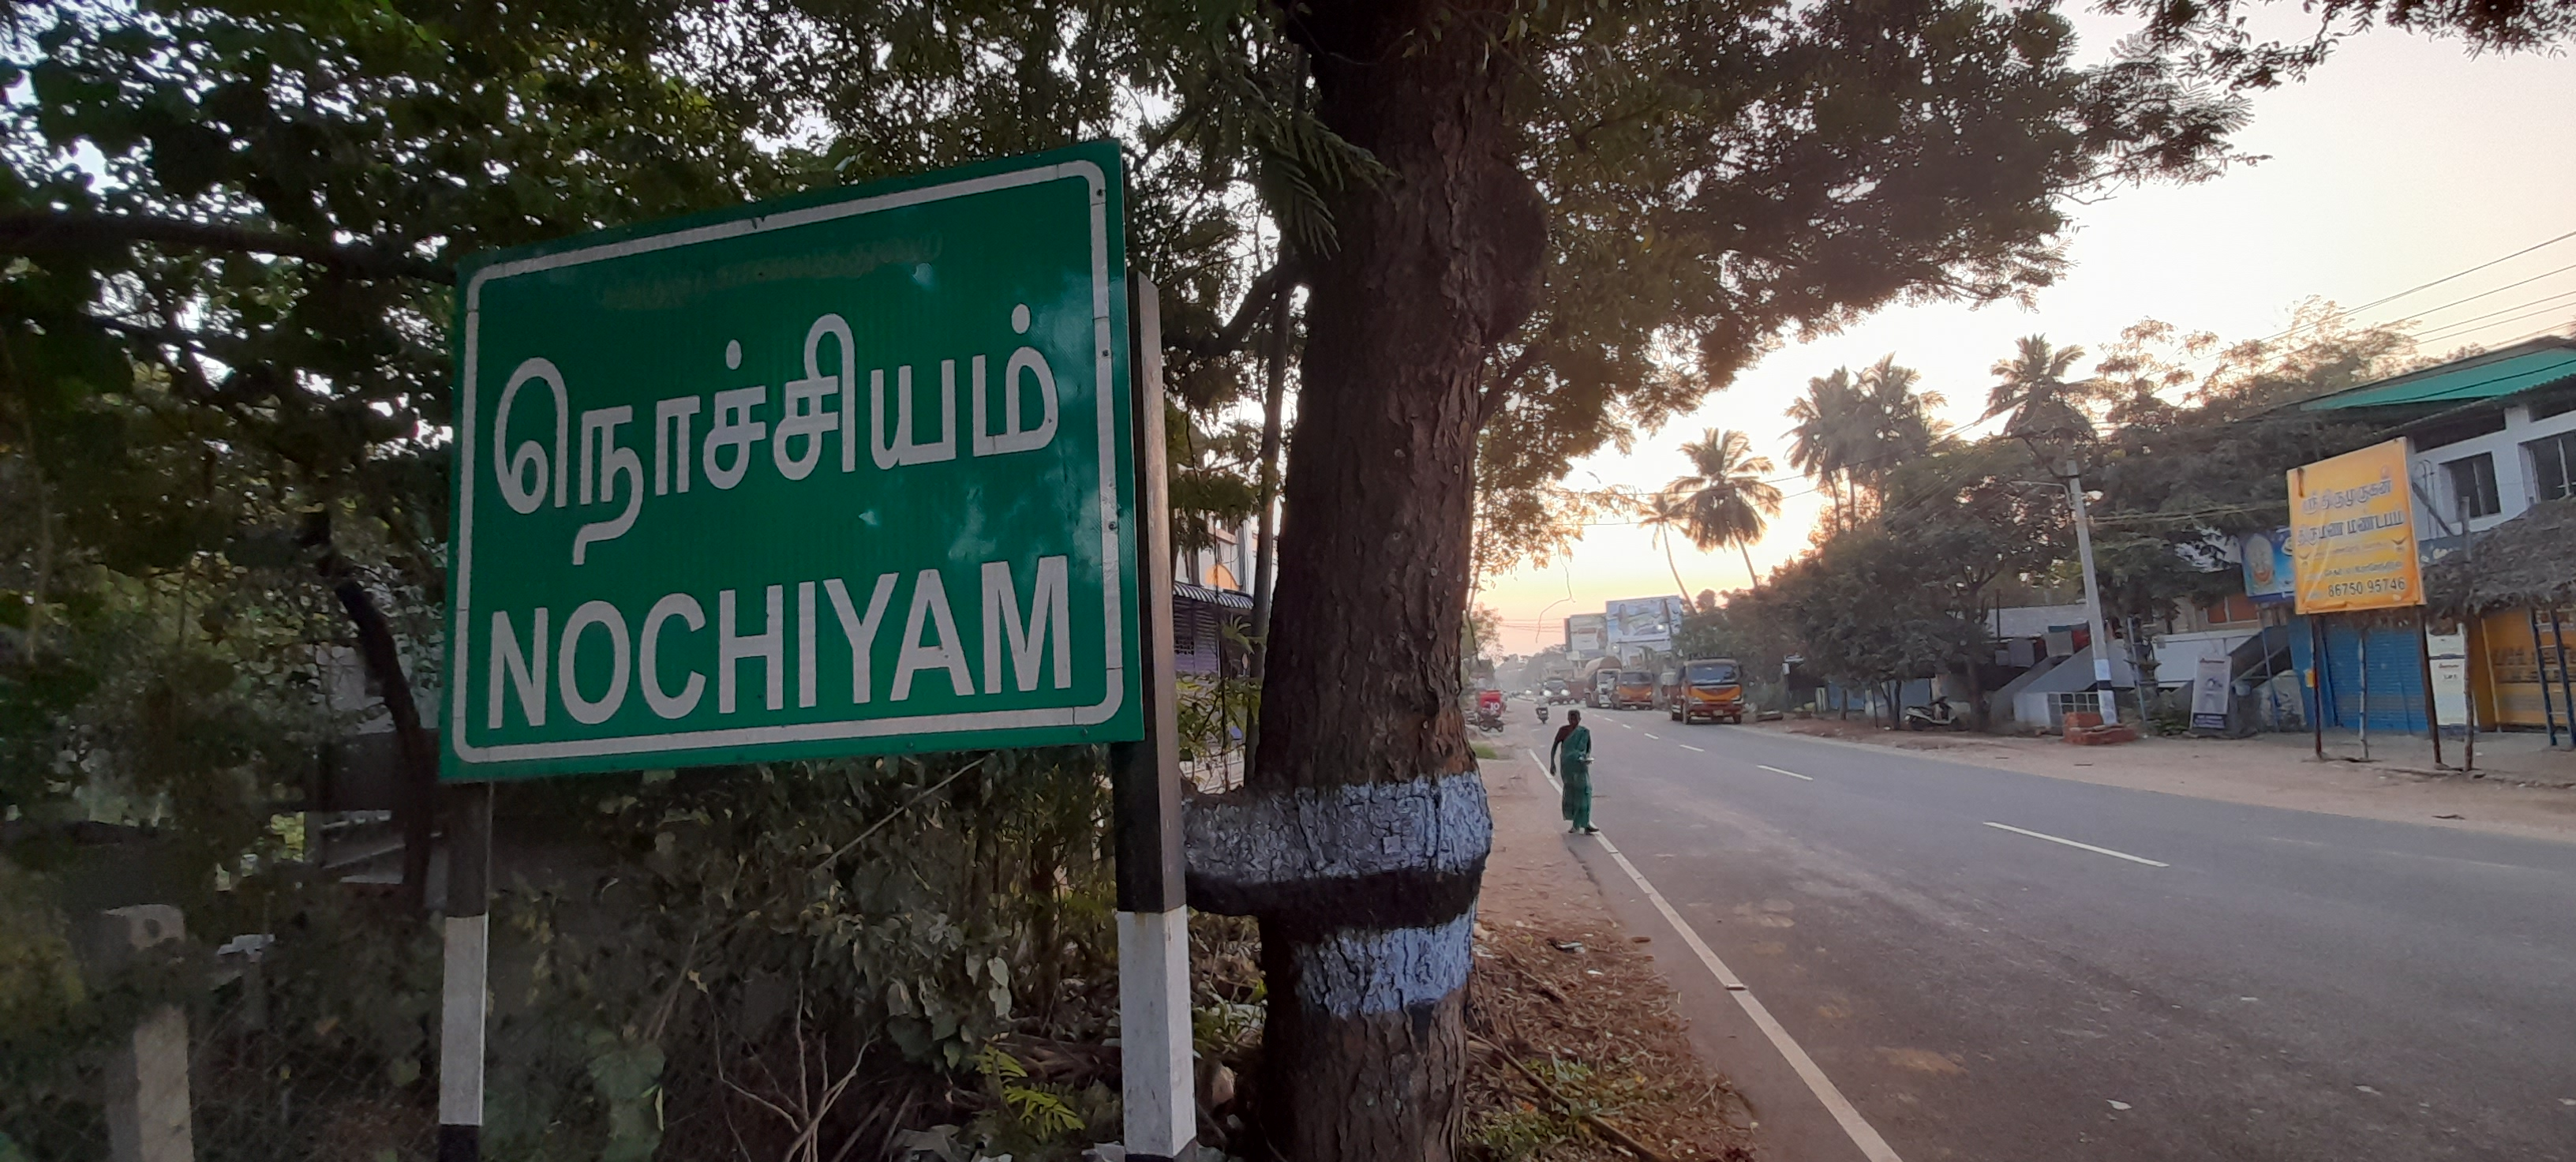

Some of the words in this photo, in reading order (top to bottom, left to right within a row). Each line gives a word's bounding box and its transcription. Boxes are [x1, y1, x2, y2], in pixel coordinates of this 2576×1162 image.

[487, 296, 1064, 573] நொச்சியம்
[484, 549, 1077, 733] NOCHIYAM